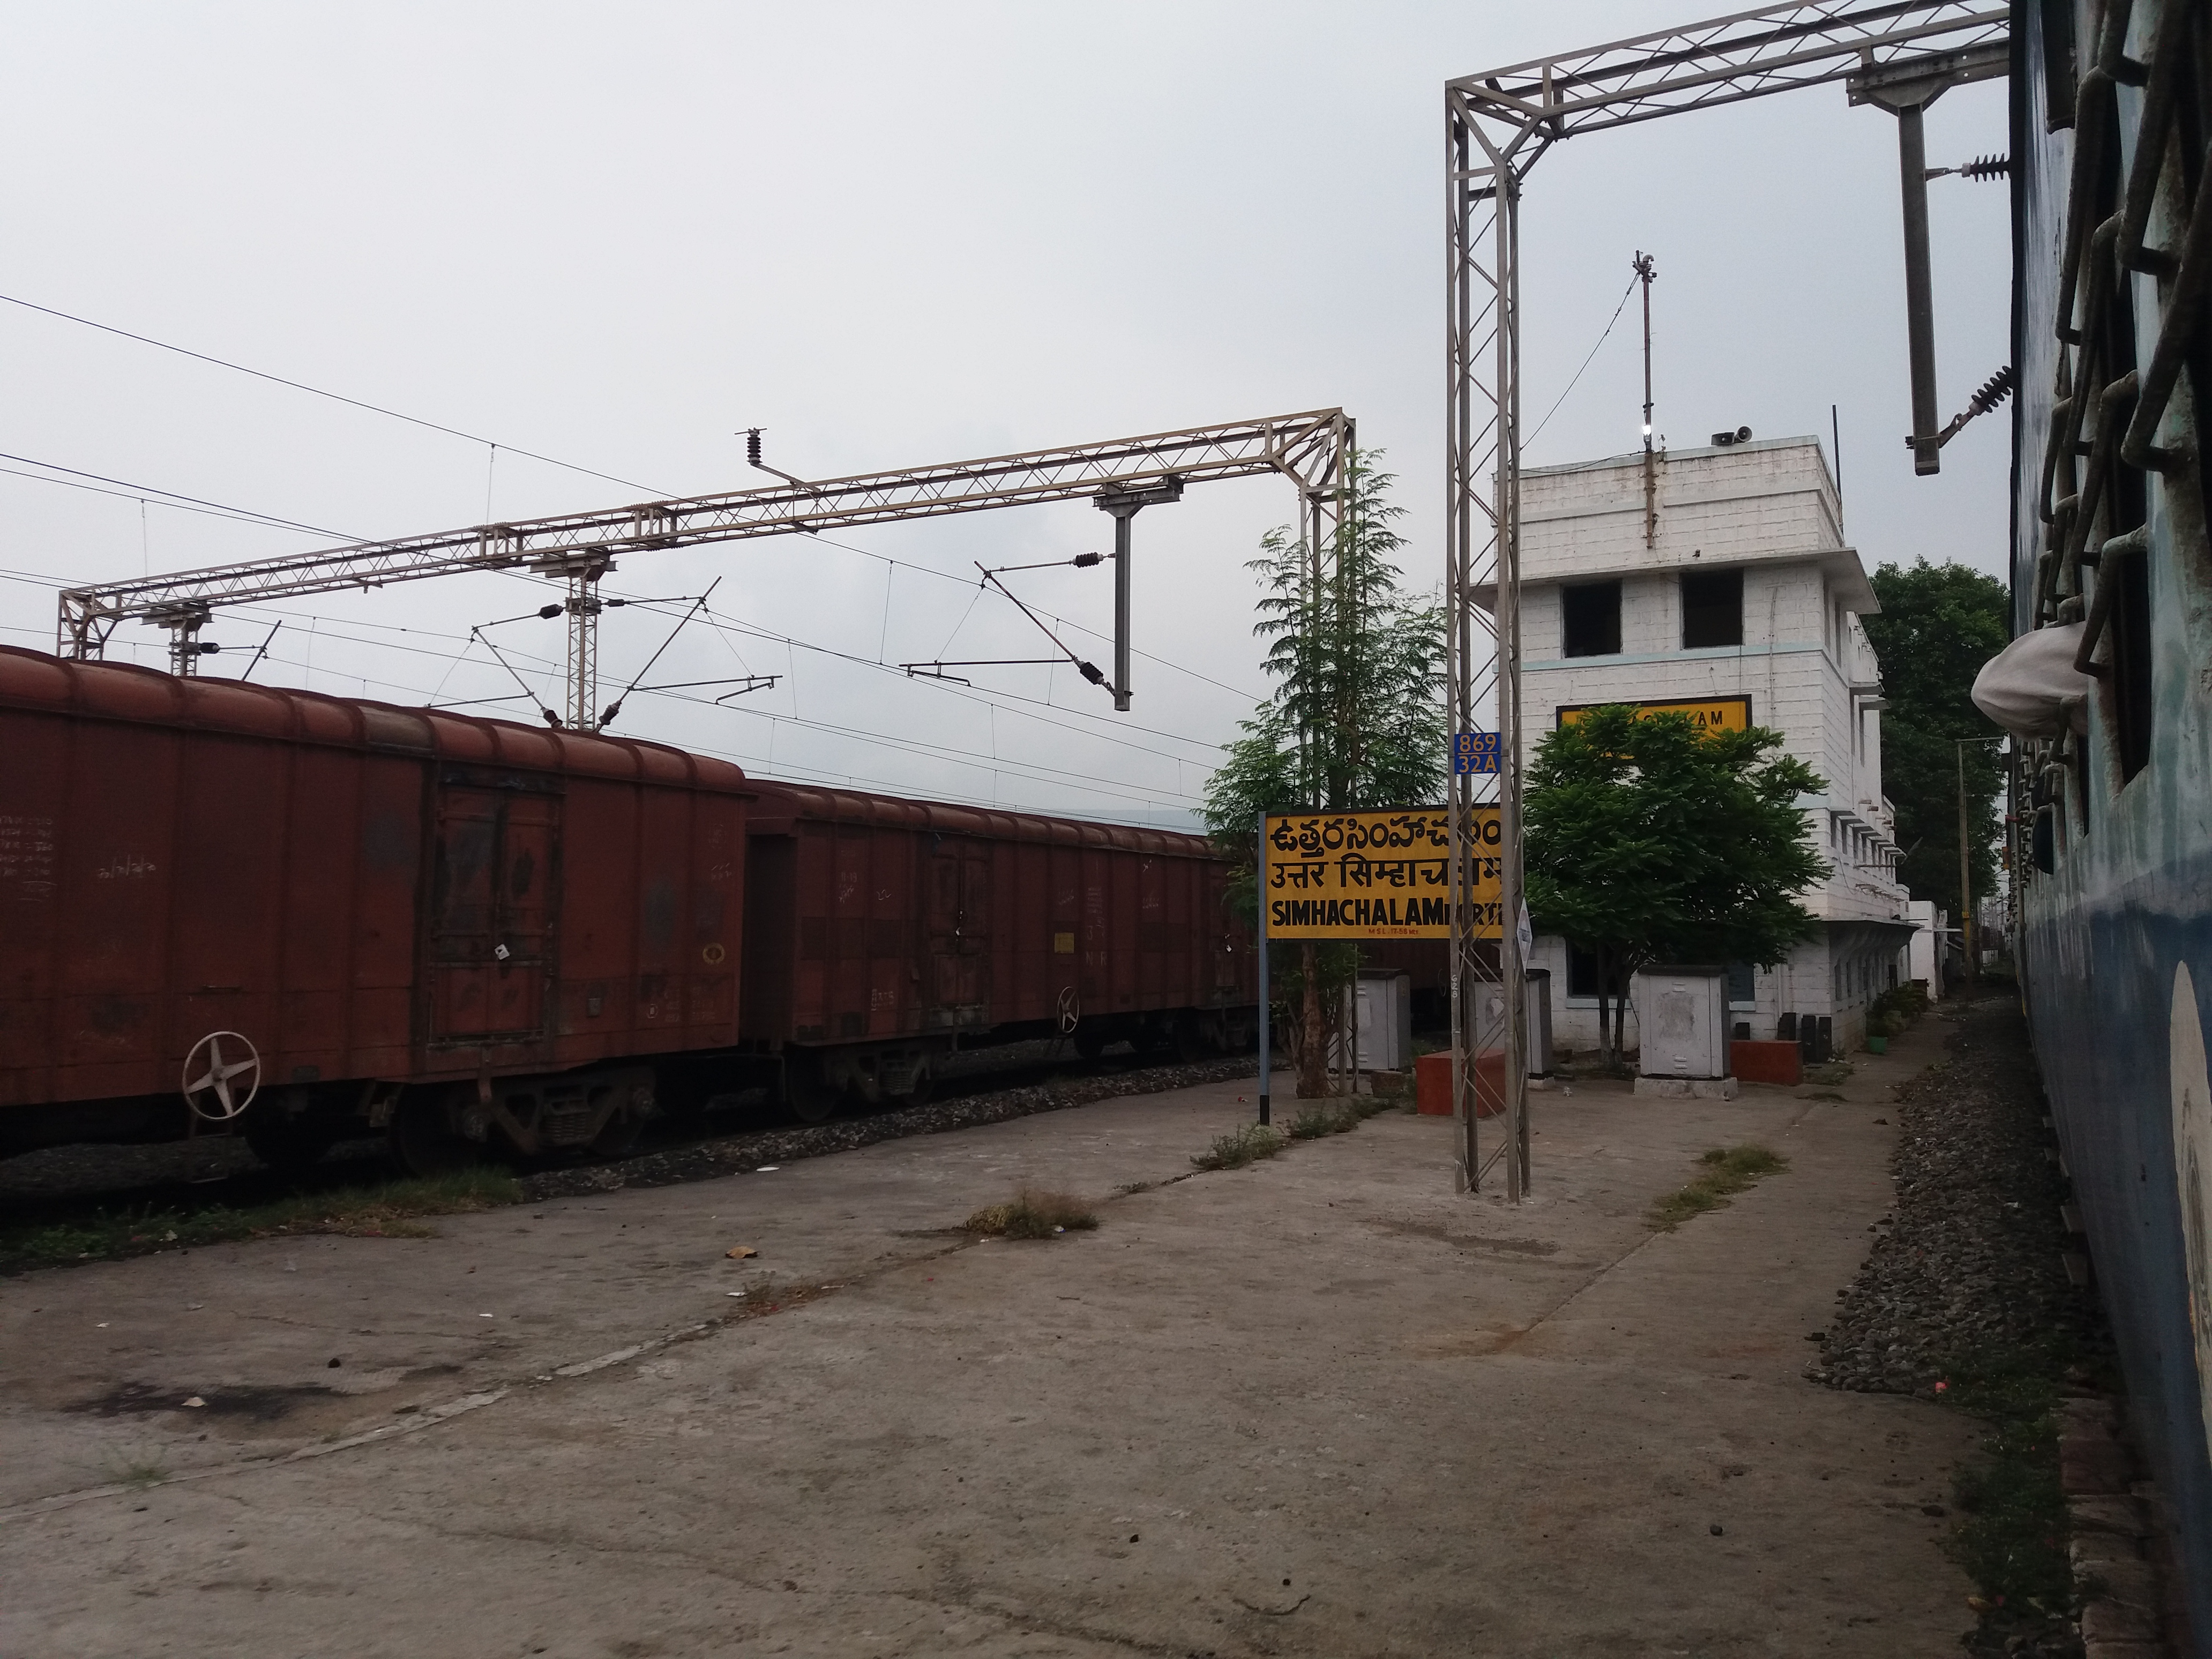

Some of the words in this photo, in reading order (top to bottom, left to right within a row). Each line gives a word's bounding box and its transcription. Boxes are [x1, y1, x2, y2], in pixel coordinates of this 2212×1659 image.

[1458, 731, 1498, 756] 869
[1455, 752, 1497, 778] 32A
[1268, 809, 1505, 863] ఉత్తరసింహాచం
[1269, 859, 1332, 893] उत्तर
[1333, 848, 1507, 890] सिम्हाचलम
[1271, 894, 1445, 928] SIMHACHALAM